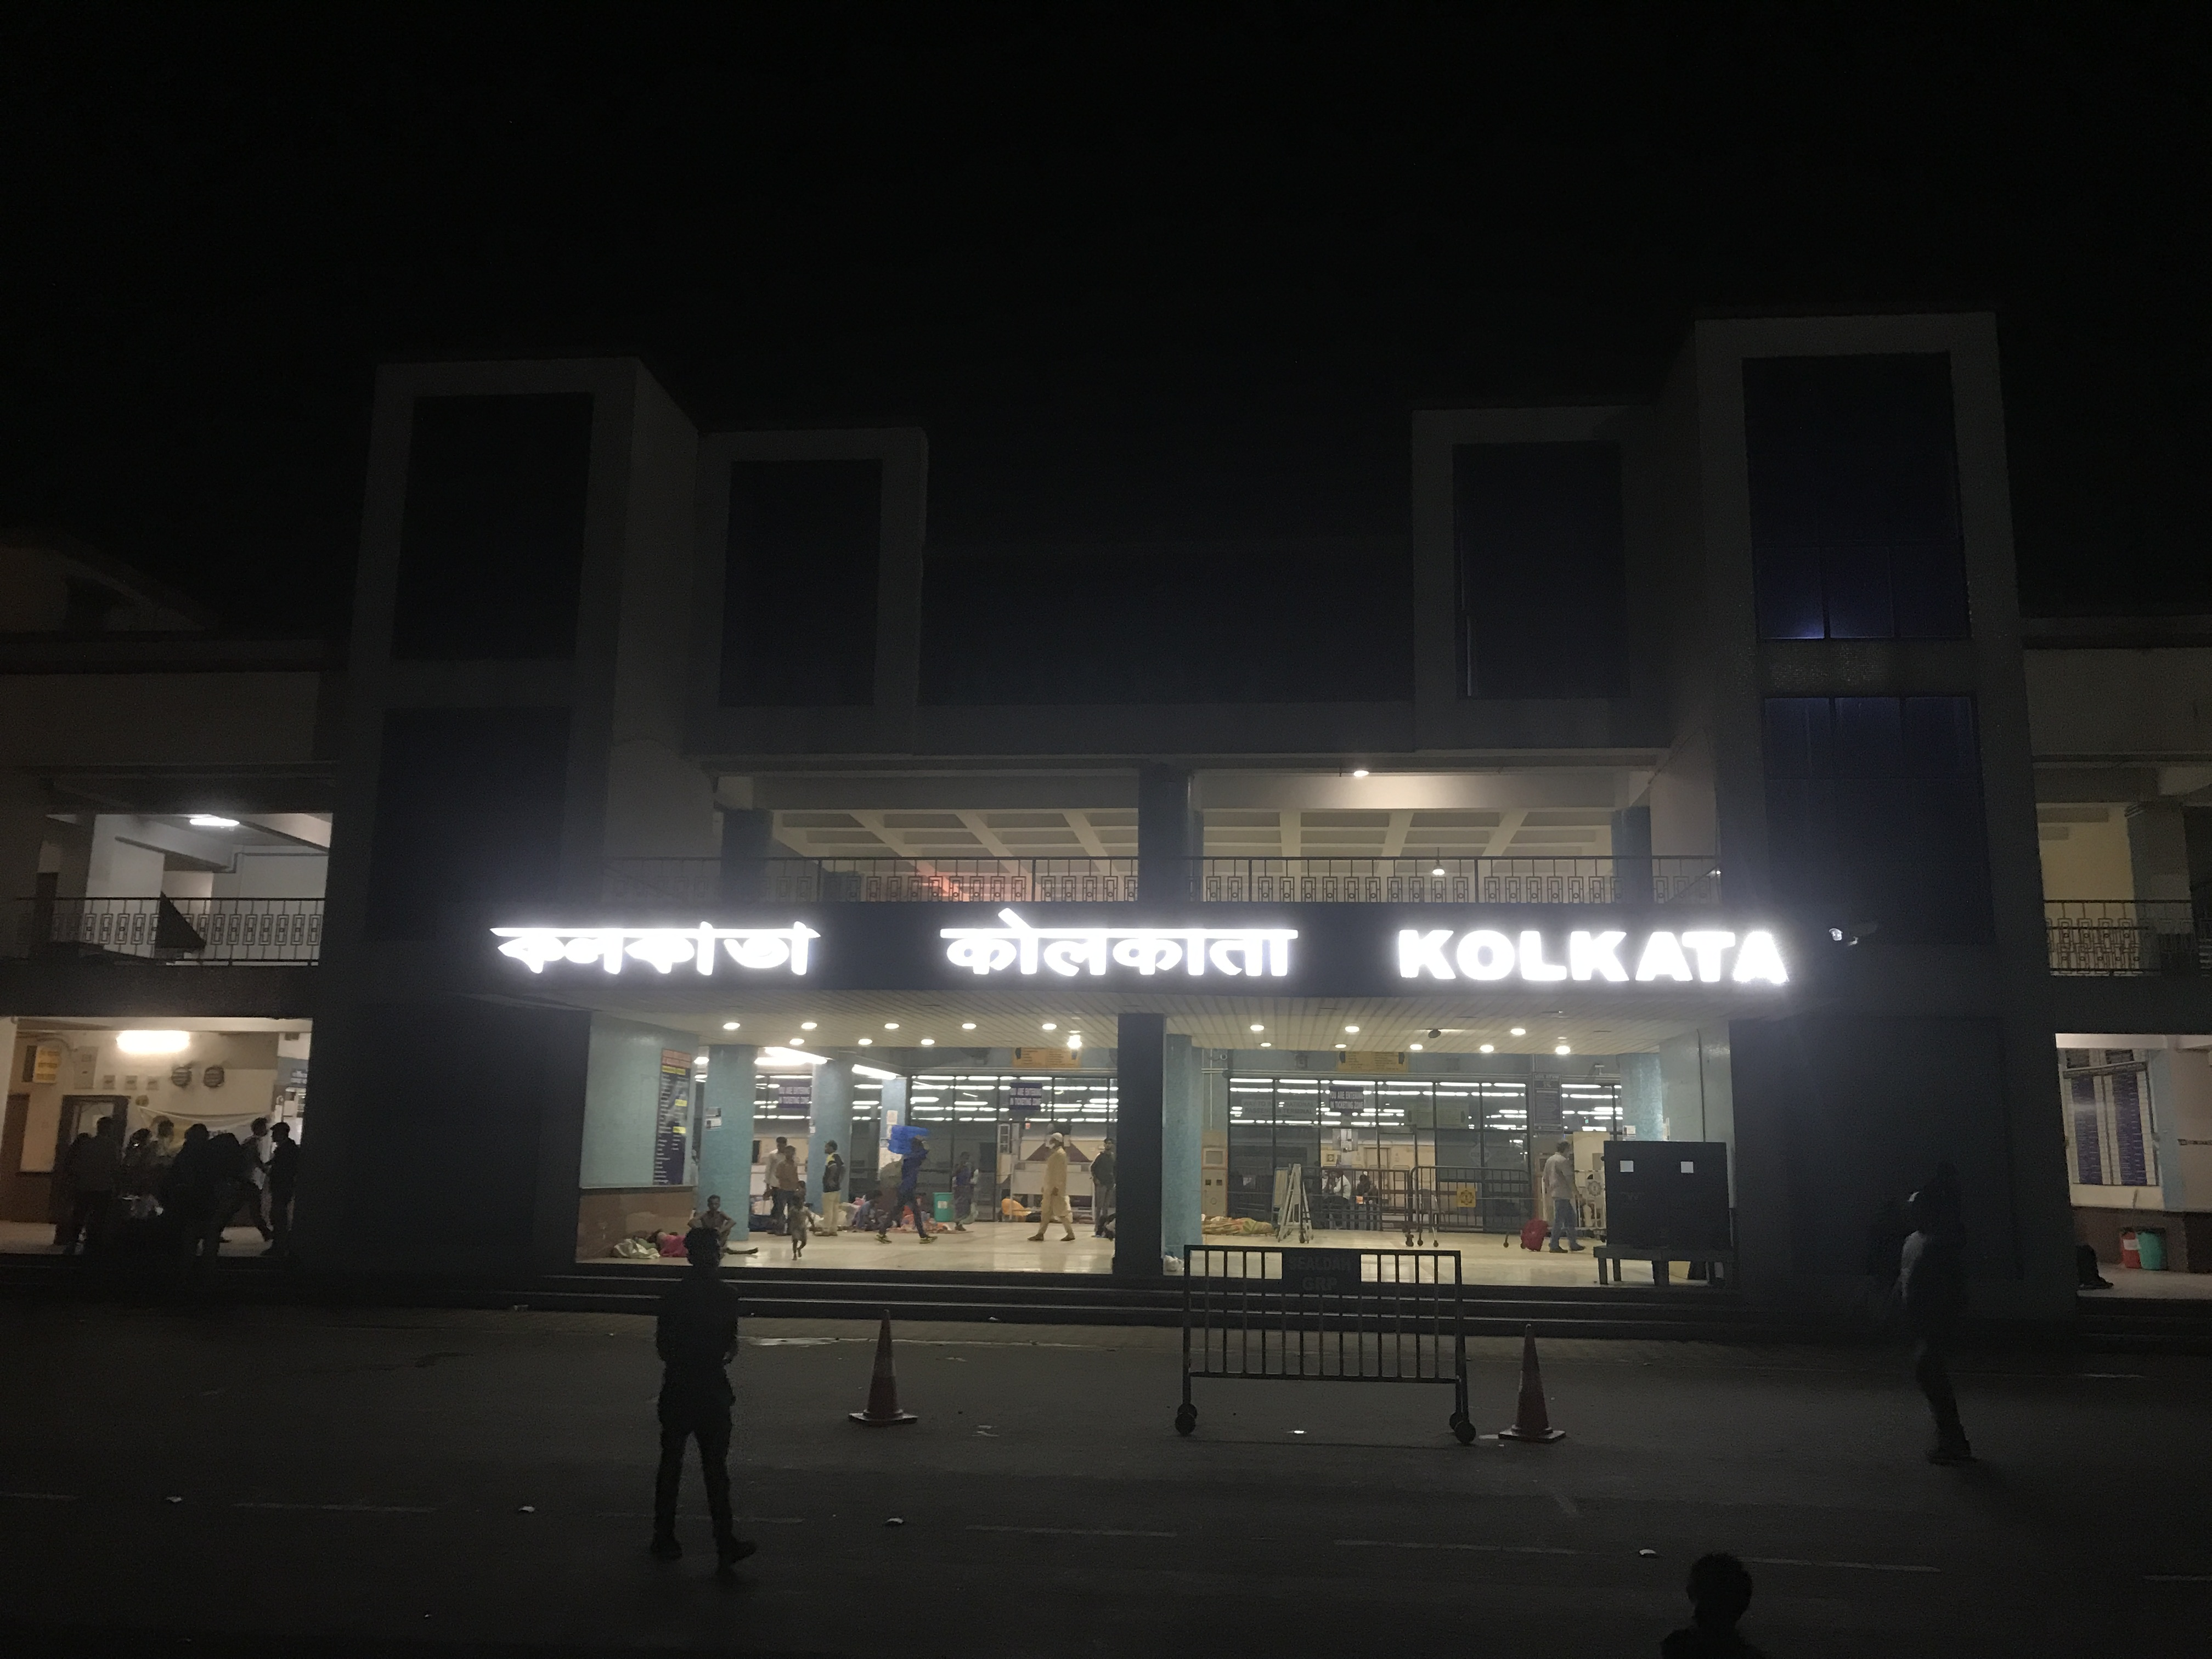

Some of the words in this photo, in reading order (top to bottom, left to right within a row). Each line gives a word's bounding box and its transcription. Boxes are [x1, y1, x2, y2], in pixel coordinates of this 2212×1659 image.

[481, 912, 839, 986] কলকাতা
[934, 898, 1313, 984] कोलकाता
[1391, 924, 1793, 995] KOLKATA